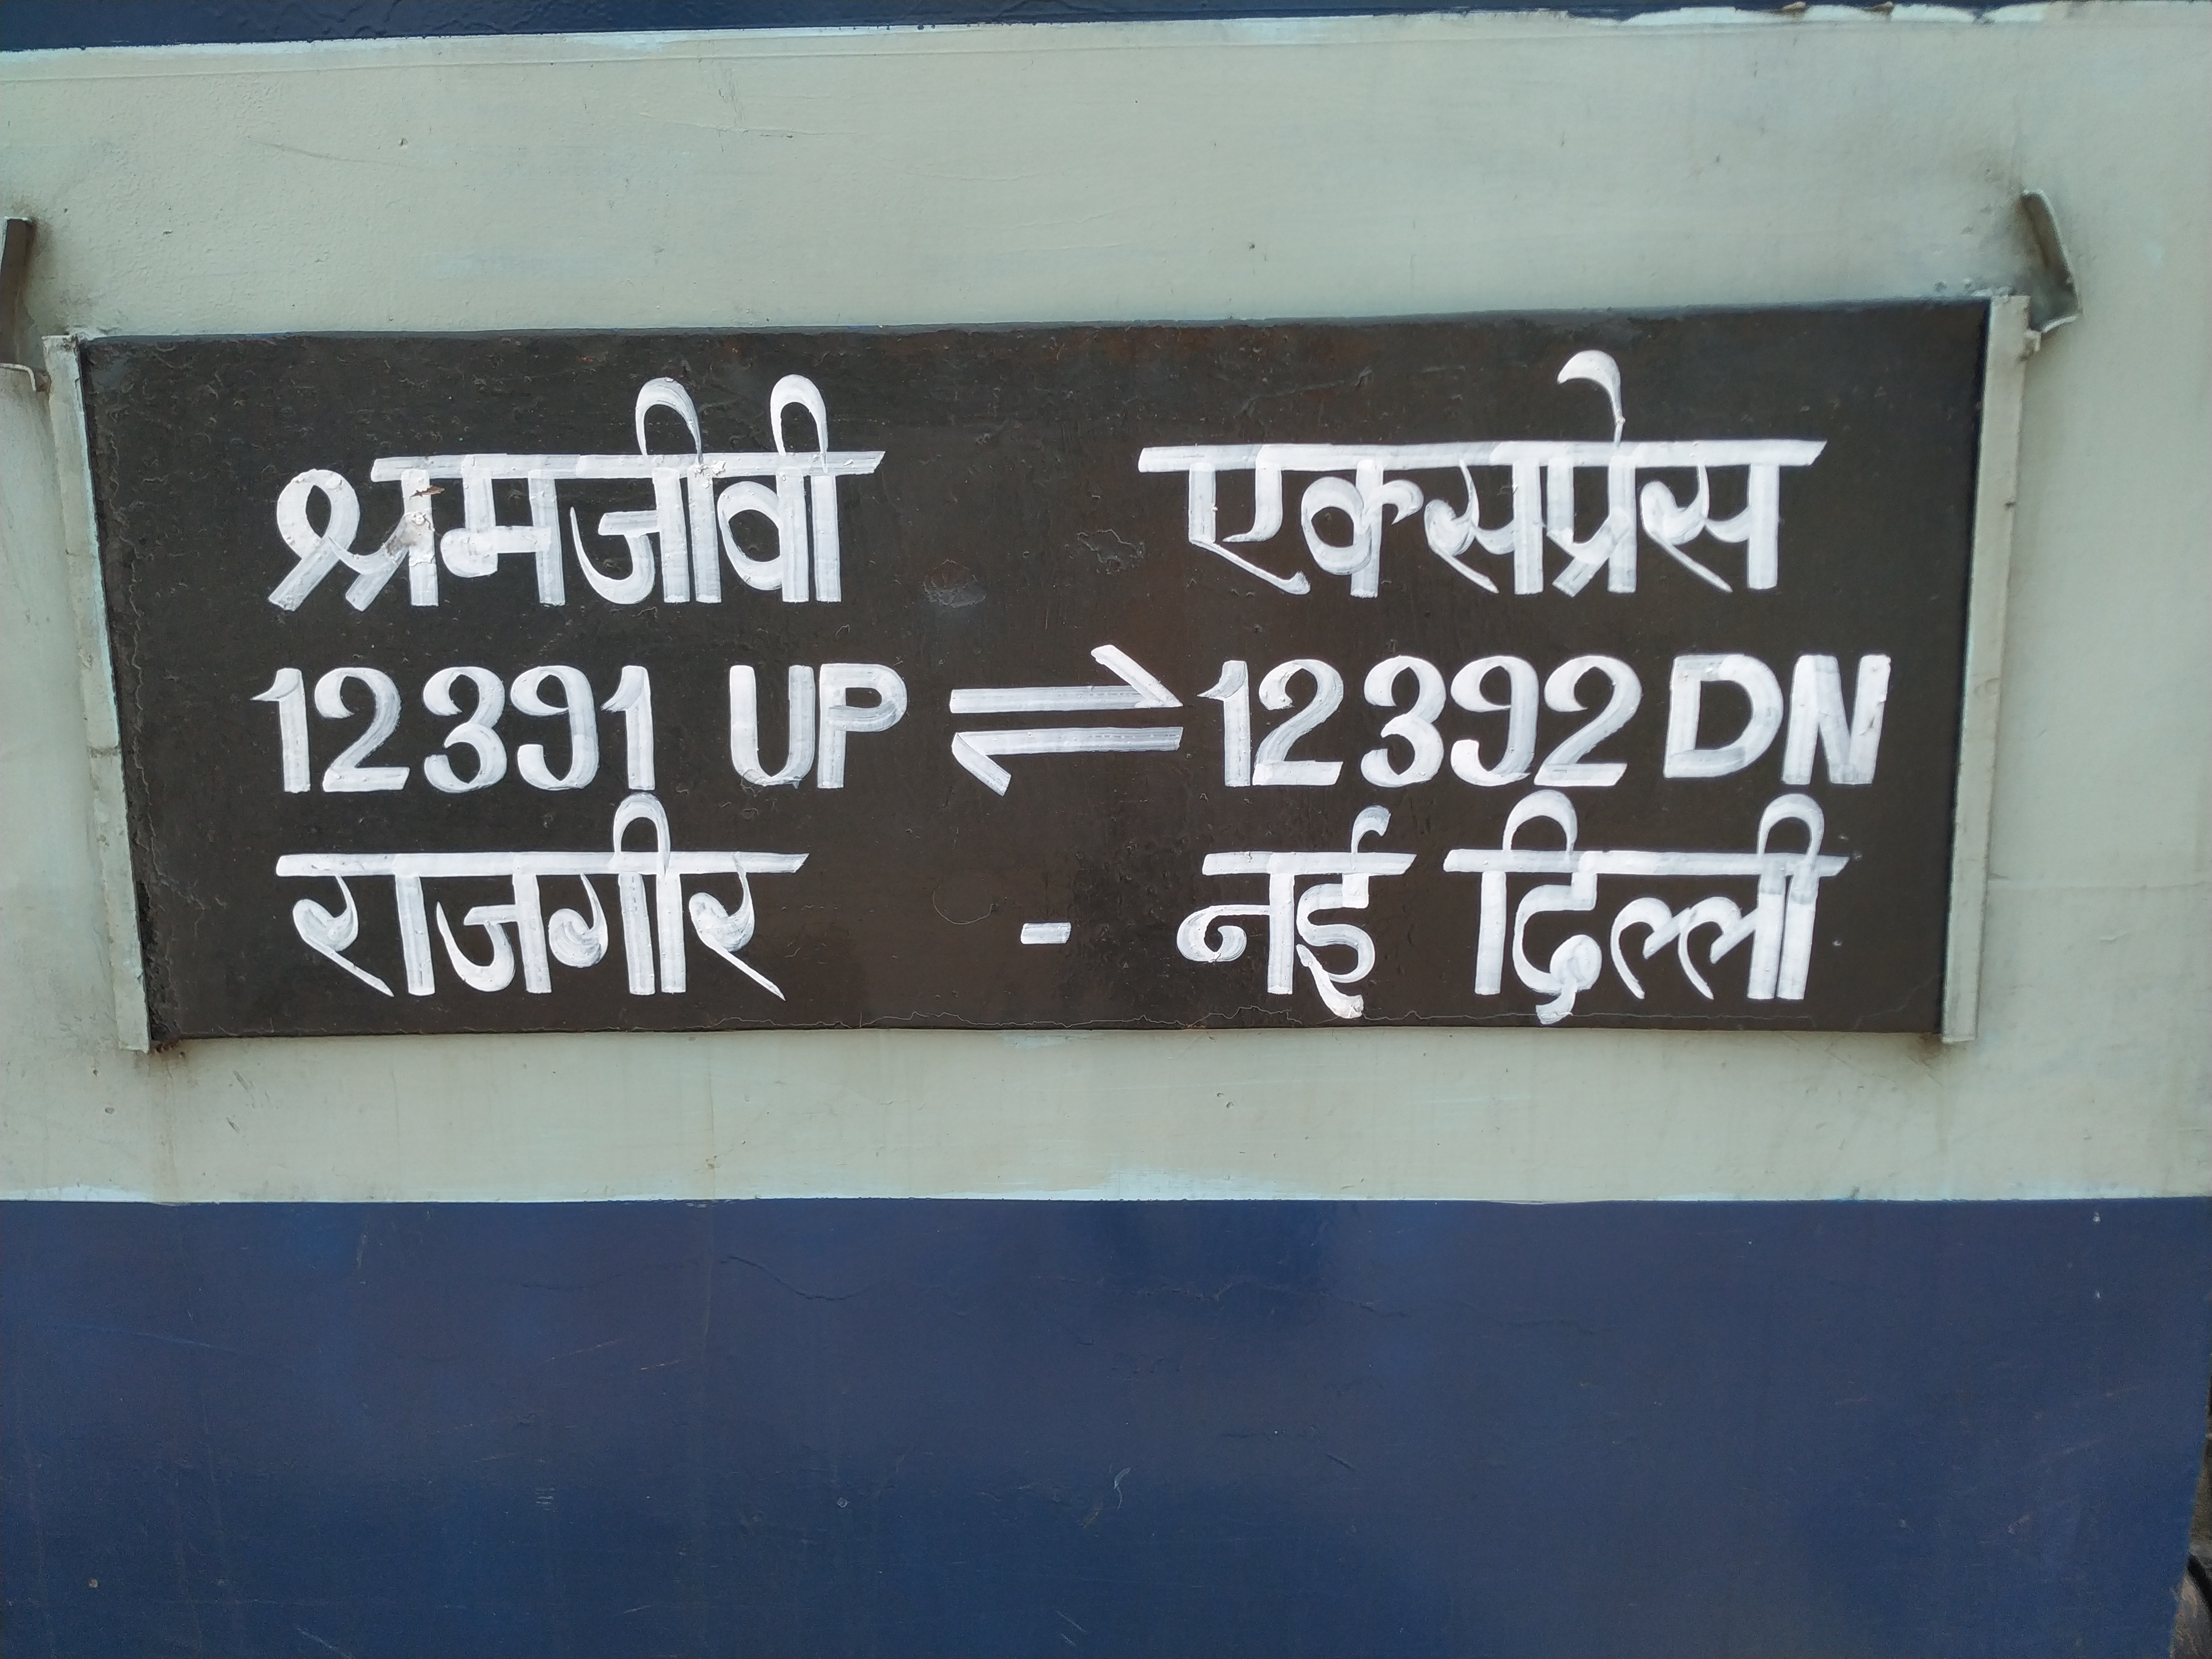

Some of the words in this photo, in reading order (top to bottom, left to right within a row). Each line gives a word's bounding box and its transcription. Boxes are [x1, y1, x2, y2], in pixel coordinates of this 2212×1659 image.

[263, 368, 889, 616] श्रमजीवी
[1134, 346, 1832, 603] एक्सप्रेस
[241, 664, 664, 801] 12391
[705, 638, 921, 813] UP
[1193, 653, 1646, 790] 12392
[1657, 650, 1896, 792] DN
[270, 786, 815, 1004] राजगीर
[1171, 799, 1422, 1023] नई
[1437, 786, 1853, 1030] दिल्ली